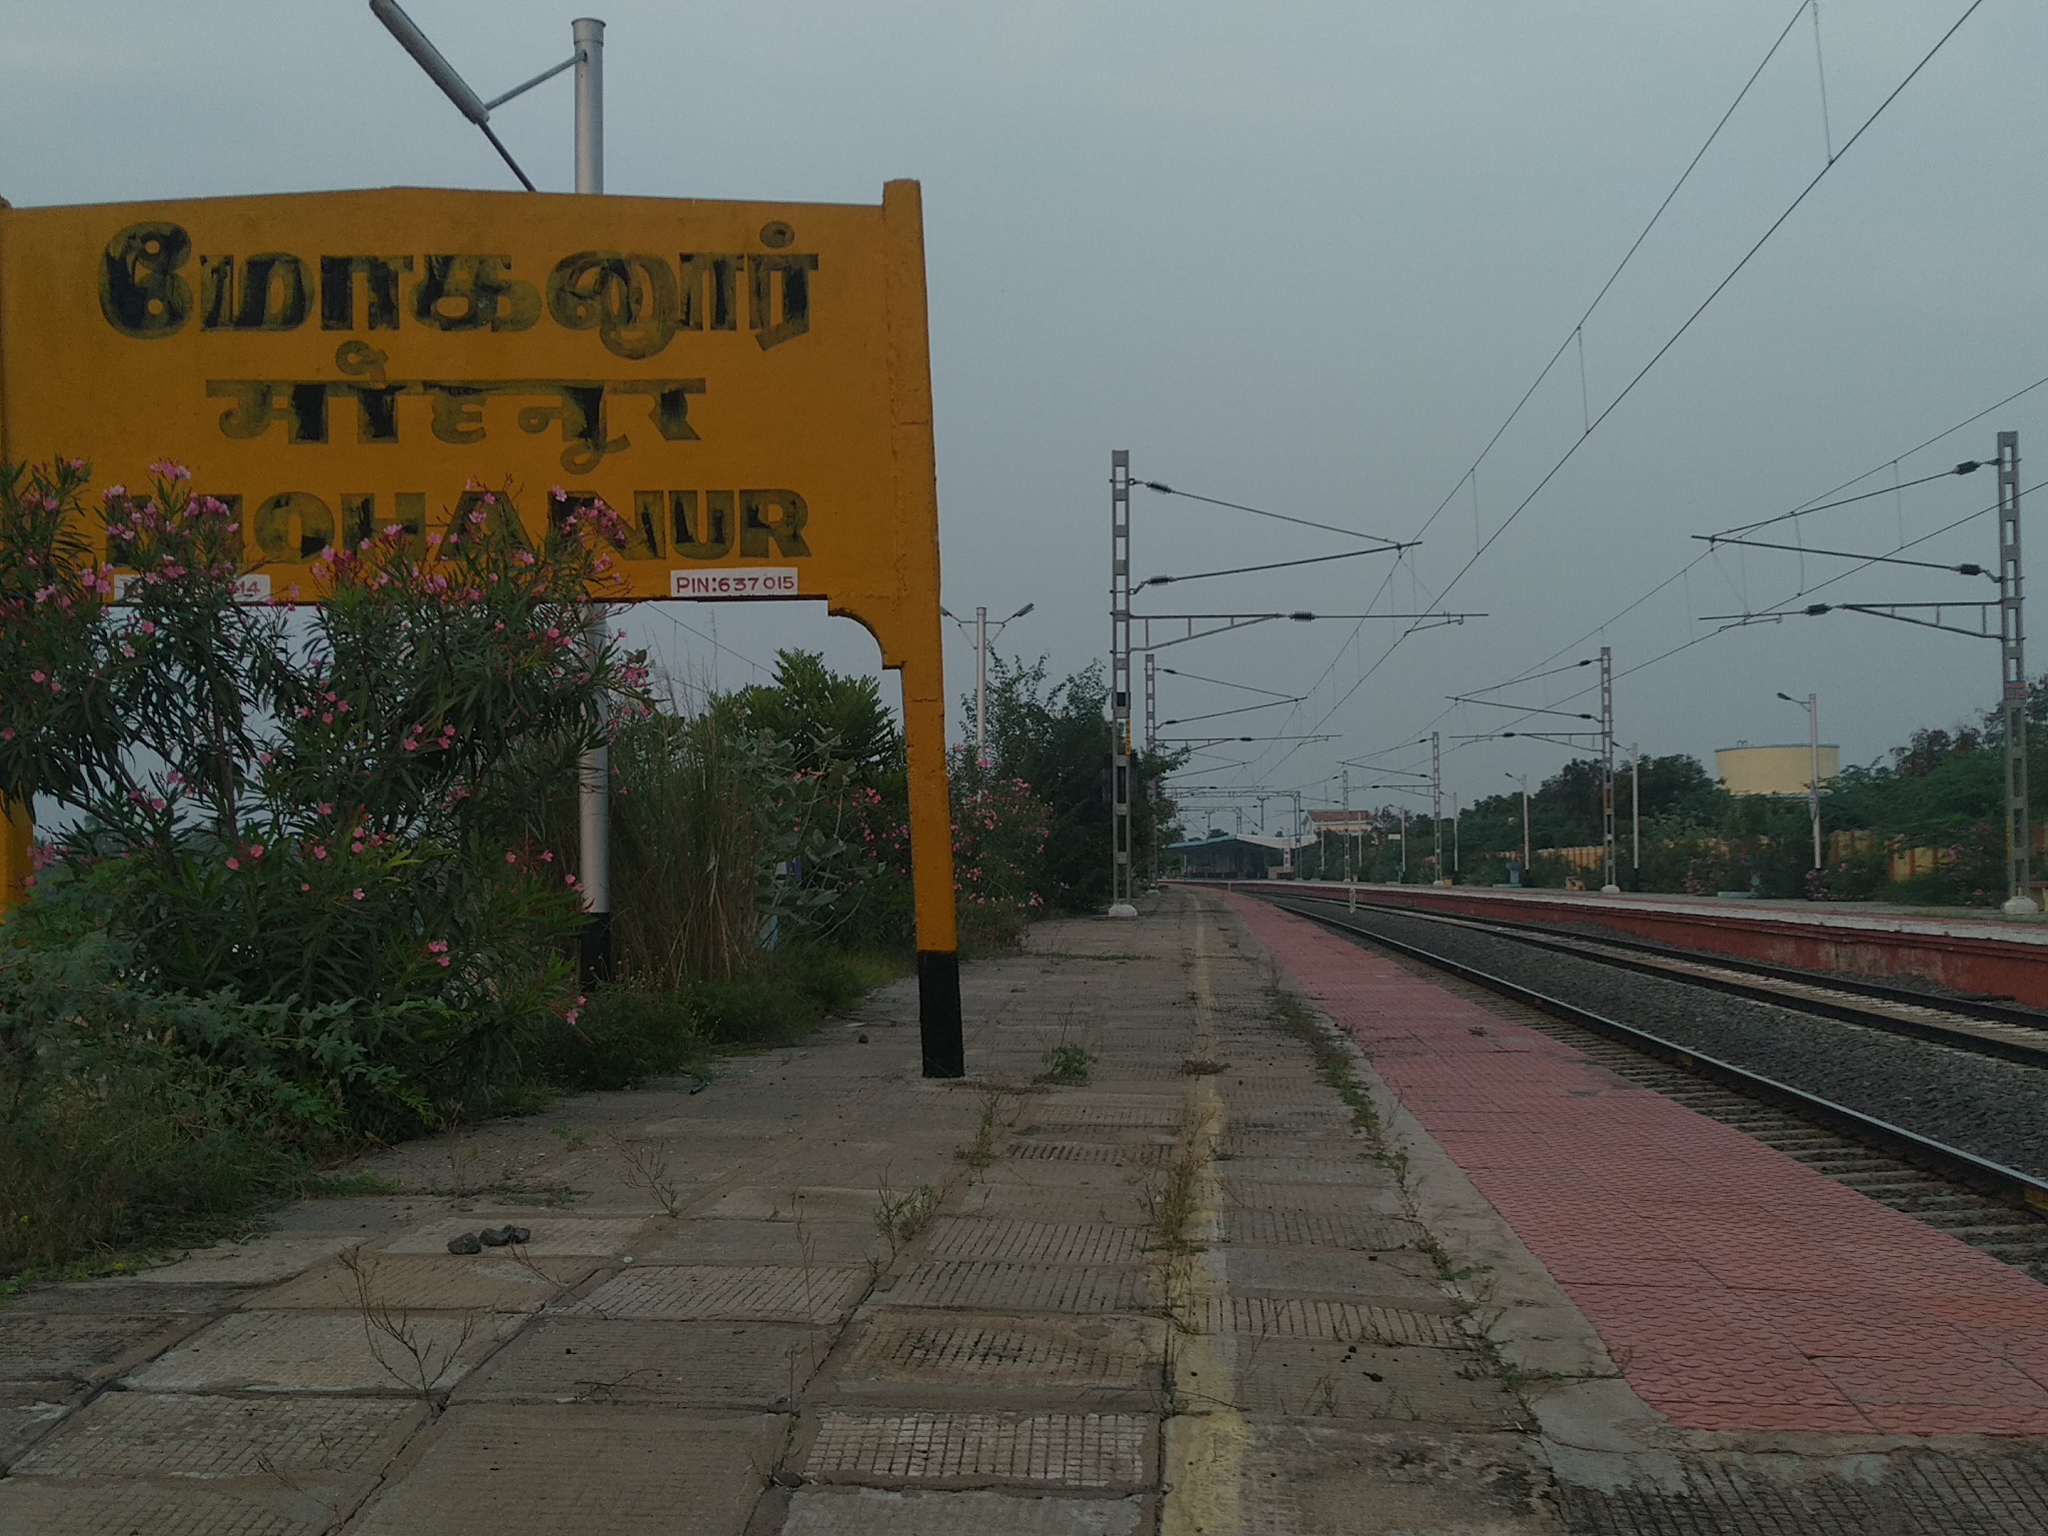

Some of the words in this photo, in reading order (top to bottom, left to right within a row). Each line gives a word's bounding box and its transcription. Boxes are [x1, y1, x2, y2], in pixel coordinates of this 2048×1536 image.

[83, 197, 833, 365] மோகனூர்
[207, 324, 721, 481] मोहनूर
[94, 476, 822, 571] MOHANUR
[669, 569, 799, 600] PIN:637015